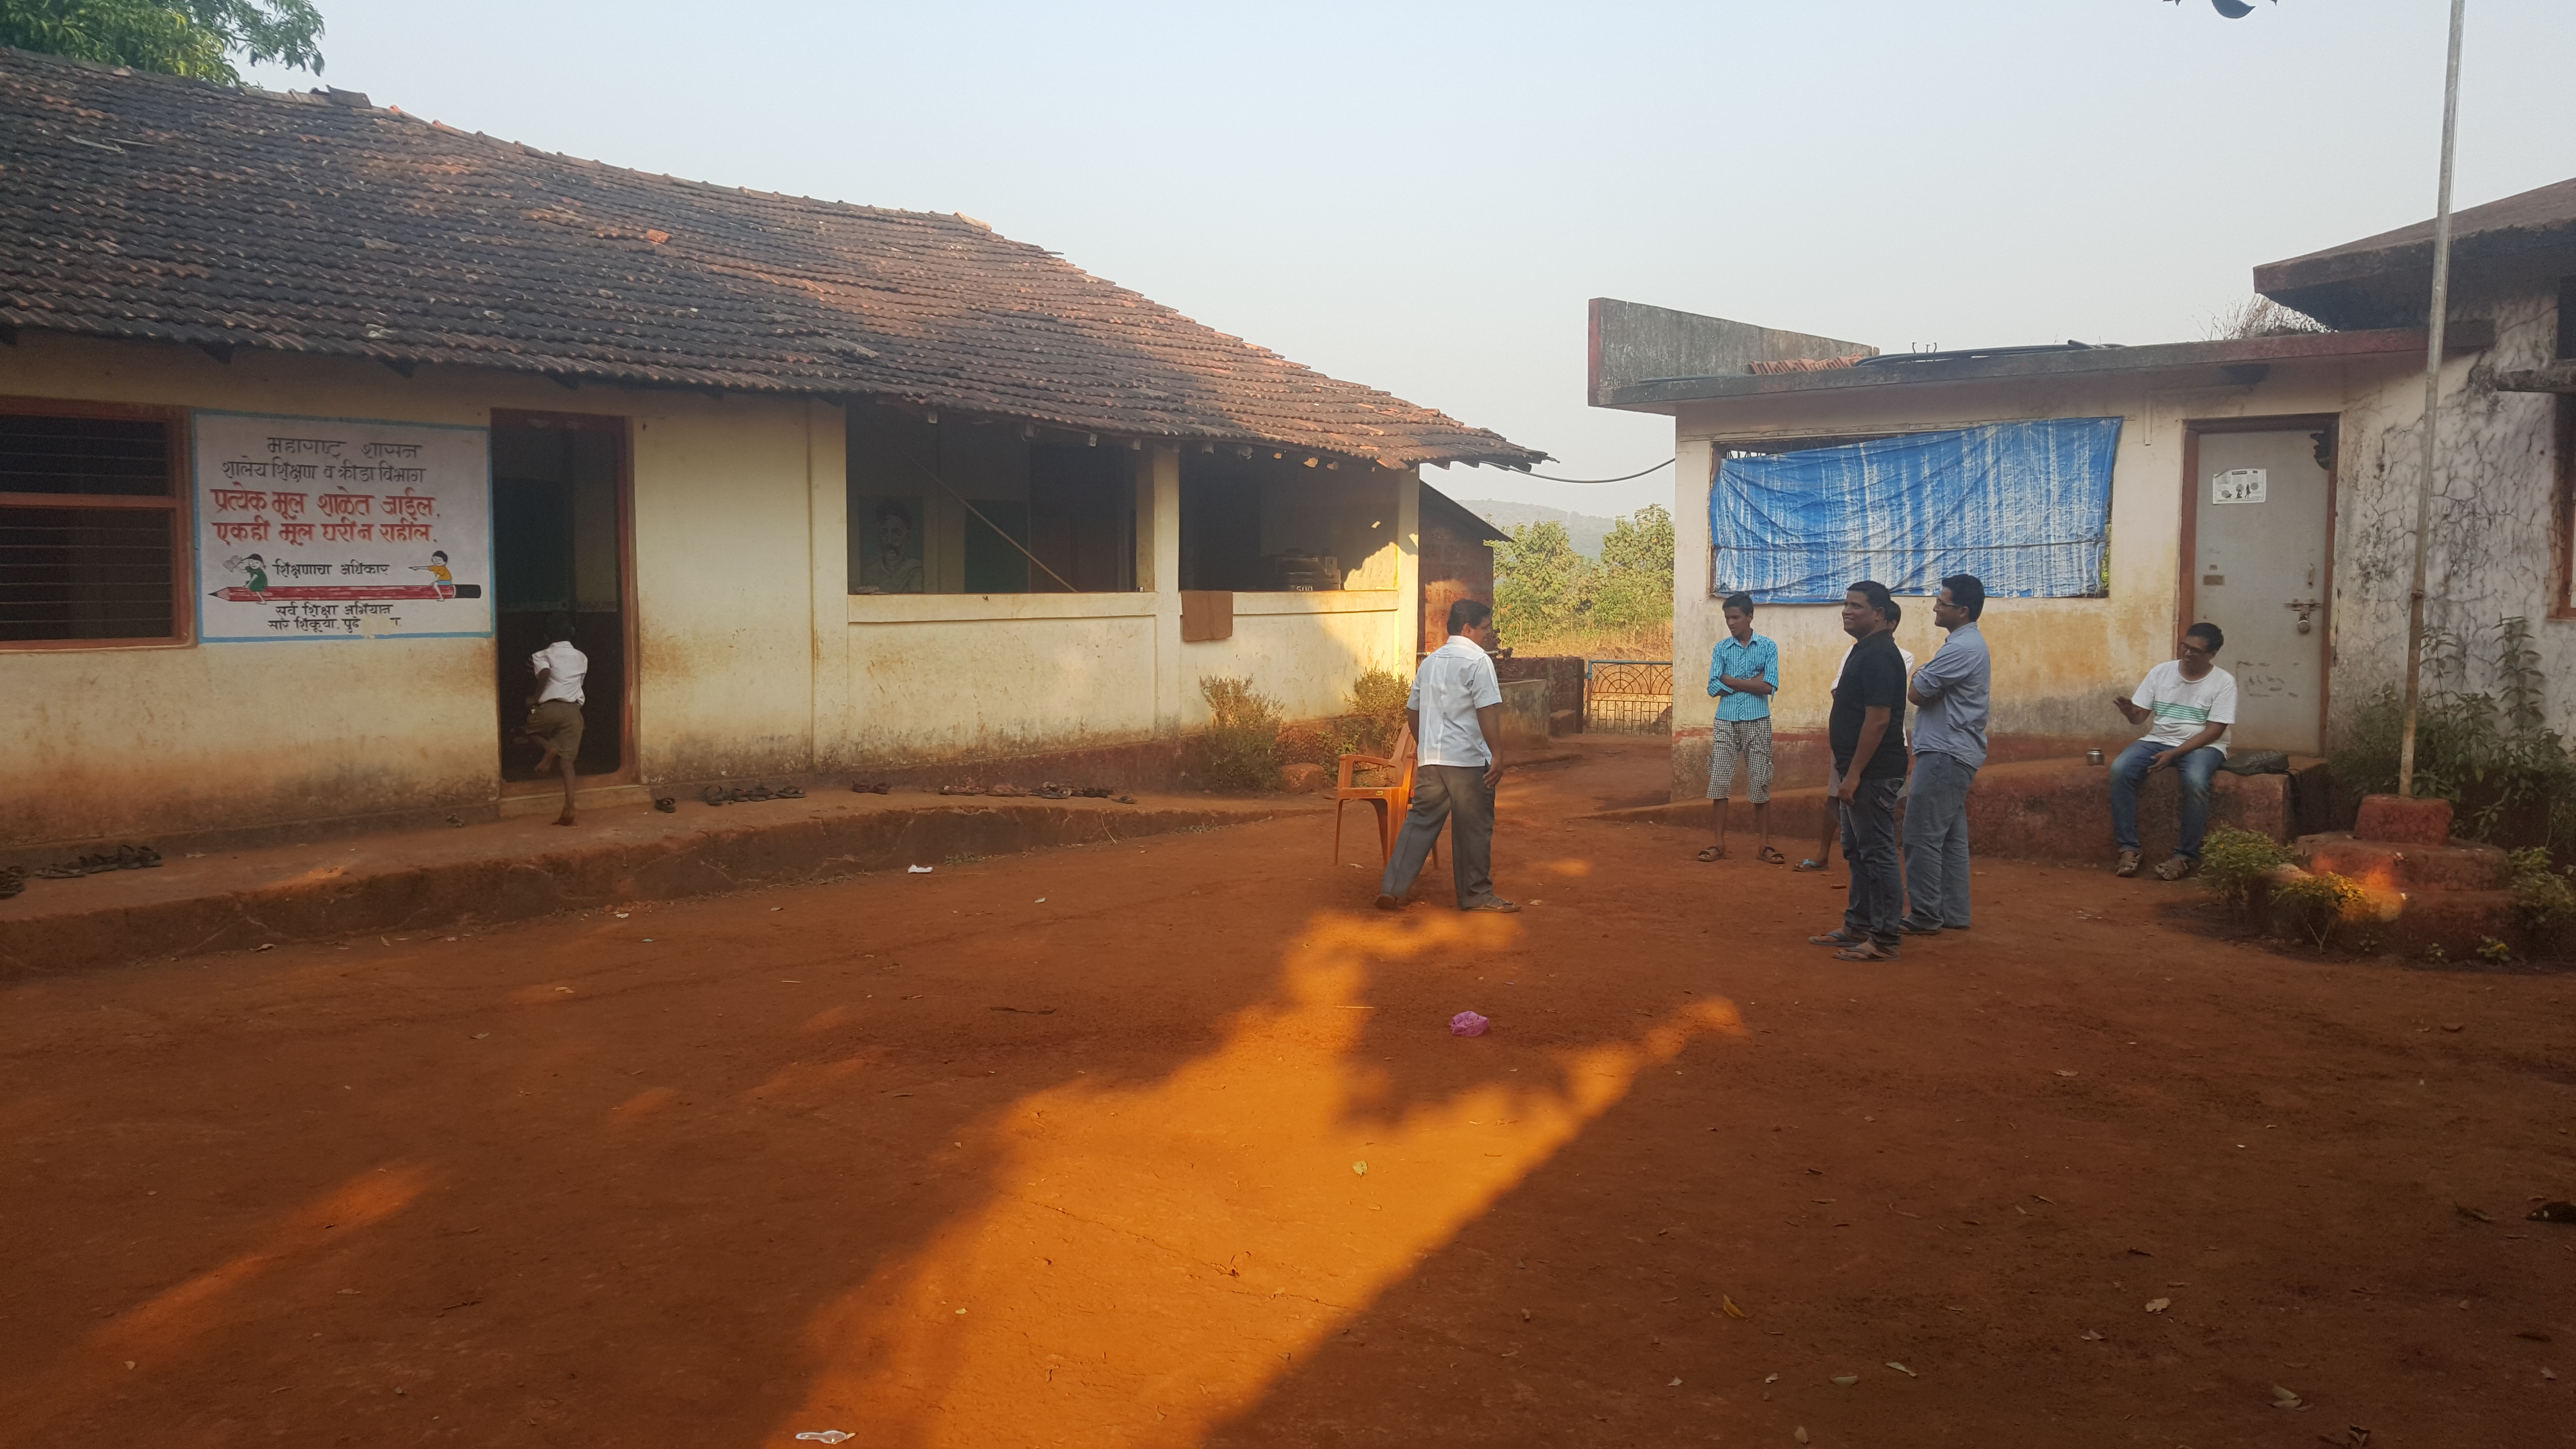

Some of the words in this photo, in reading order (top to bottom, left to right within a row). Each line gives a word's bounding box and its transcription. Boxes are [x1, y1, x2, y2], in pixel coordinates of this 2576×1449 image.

[220, 452, 270, 483] शालेय
[265, 450, 320, 483] शिक्षण
[265, 434, 350, 461] महाराष्ट्र
[319, 462, 337, 482] व
[333, 452, 378, 485] क्रीडा
[358, 440, 422, 463] शासन
[374, 454, 426, 485] विभाग
[205, 479, 271, 515] प्रत्येक
[268, 488, 308, 524] मूल
[313, 482, 378, 519] शाळेत
[373, 482, 443, 523] जाईल
[207, 510, 274, 549] एकहीं
[277, 519, 317, 553] मूल
[315, 511, 360, 545] घरी
[354, 519, 376, 546] न
[376, 508, 435, 547] राहील
[269, 551, 336, 580] शिक्षणाचा
[338, 550, 393, 579] अधिकार
[262, 614, 294, 632] सारे
[270, 597, 303, 621] सर्व
[291, 612, 340, 635] शिंकूया
[297, 596, 338, 619] शिक्षा
[340, 609, 362, 636] पुढे
[341, 597, 395, 617] अभियान